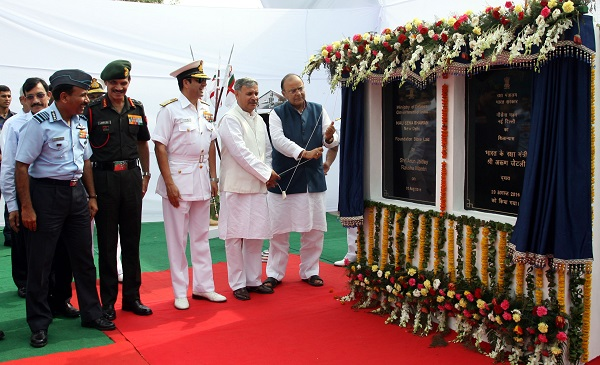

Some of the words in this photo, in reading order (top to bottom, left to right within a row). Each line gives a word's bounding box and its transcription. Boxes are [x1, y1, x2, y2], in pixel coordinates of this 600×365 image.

[507, 152, 530, 171] जेटली